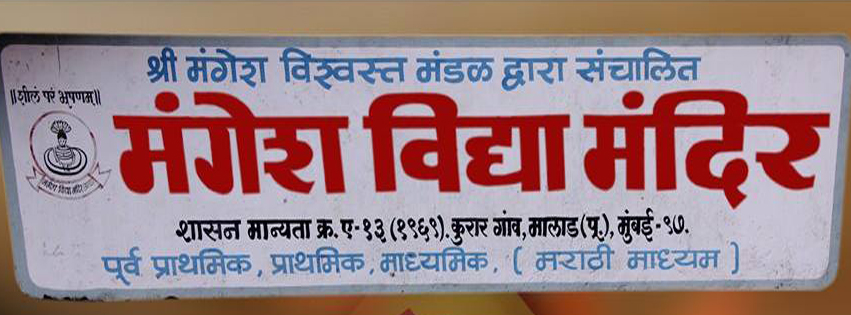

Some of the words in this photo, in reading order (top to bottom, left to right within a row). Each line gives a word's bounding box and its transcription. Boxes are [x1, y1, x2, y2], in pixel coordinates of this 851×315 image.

[137, 41, 182, 89] श्री
[181, 42, 275, 93] मंगेश
[272, 42, 414, 95] वि‍श्‍वस्त
[411, 45, 499, 91] मंडळ
[497, 48, 573, 95] द्वारा
[573, 44, 707, 90] संचालित
[4, 79, 41, 111] ॥शीलं
[41, 84, 57, 107] परं
[57, 81, 104, 113] भूषणम्॥
[103, 87, 358, 207] मंगेरा
[355, 83, 575, 201] विद्या
[573, 84, 839, 216] मंदिर
[170, 215, 245, 249] शासन
[243, 215, 315, 246] मान्यता
[313, 214, 391, 247] क्रःएः१३
[387, 209, 451, 249] (१९६९).
[447, 213, 491, 246] कुरार
[490, 204, 529, 243] गांव,
[527, 209, 580, 244] मालाड
[579, 209, 616, 243] (पू.),
[615, 203, 695, 248] मुंबई-९७.
[94, 239, 147, 291] पूर्व
[146, 244, 271, 289] प्राथमिक,
[264, 245, 379, 285] प्राथमिक,
[375, 245, 505, 281] माध्यमिक,
[526, 243, 620, 280] मराठी
[621, 243, 726, 279] माध्यम